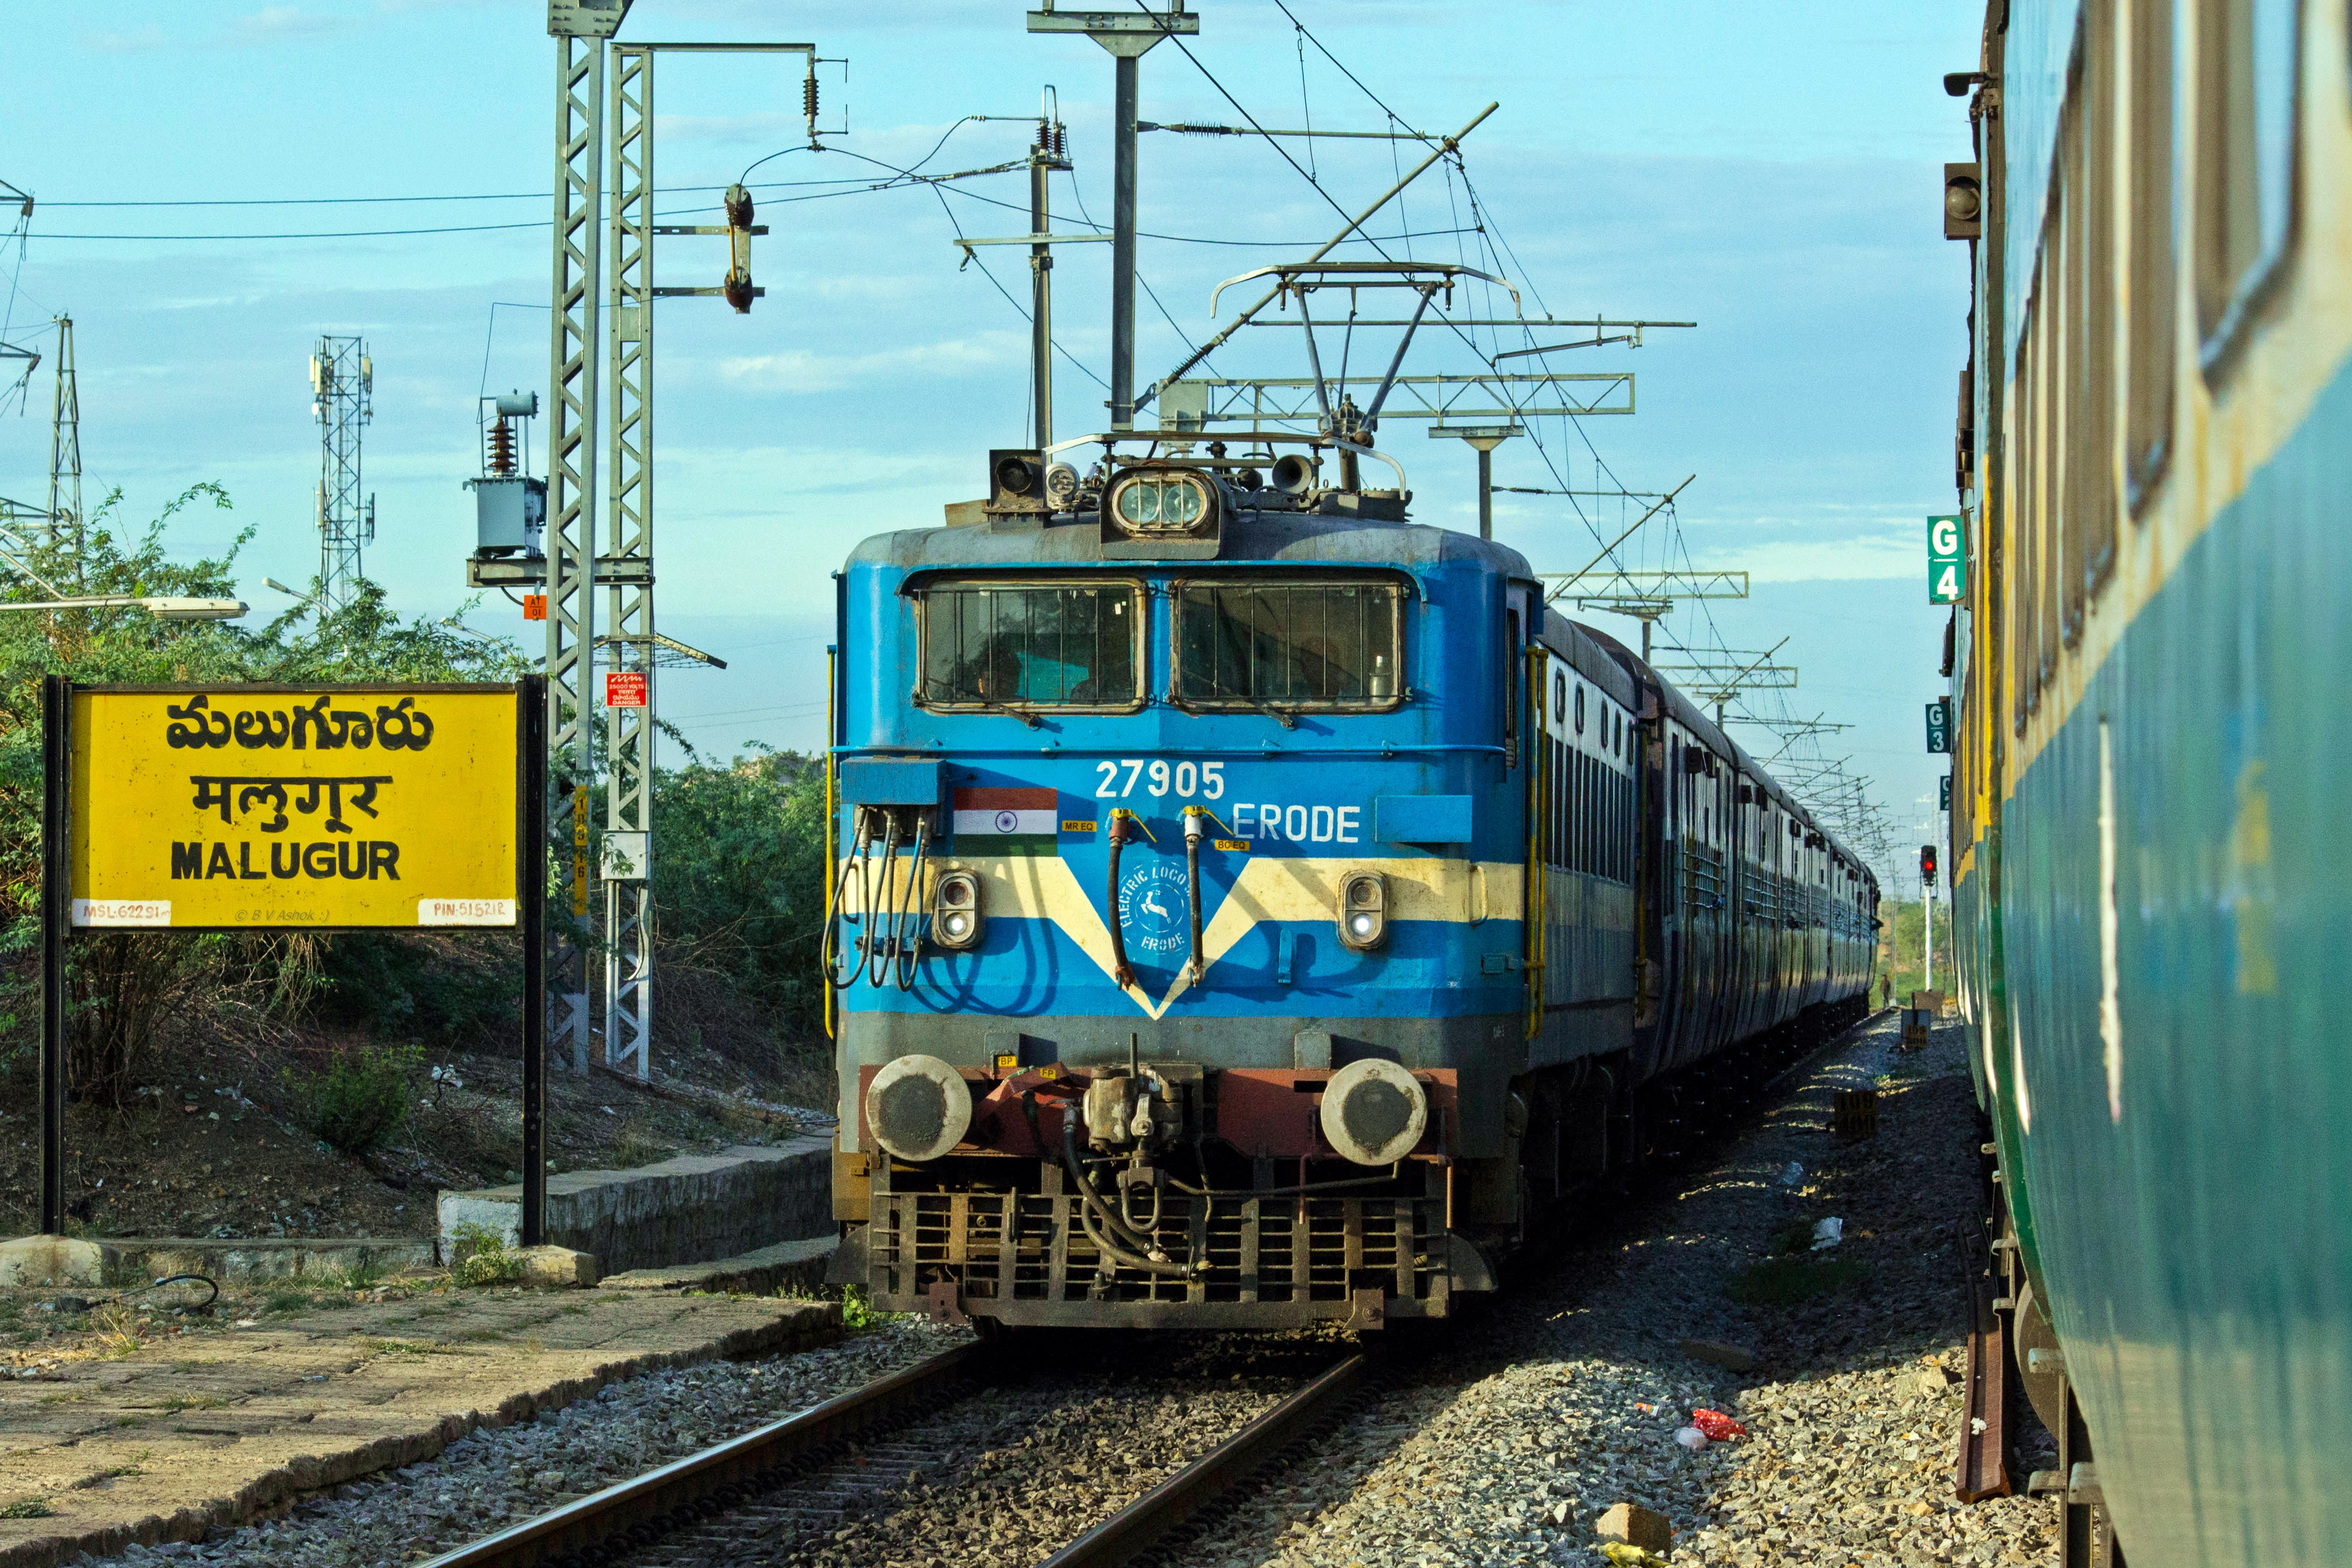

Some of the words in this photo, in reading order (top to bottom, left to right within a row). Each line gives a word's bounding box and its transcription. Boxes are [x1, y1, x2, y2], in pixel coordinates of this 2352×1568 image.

[609, 698, 642, 707] DANGER
[616, 687, 637, 696] खतरा
[611, 693, 642, 703] అపాయము
[165, 691, 436, 752] మలుగూరు
[1089, 753, 1232, 804] 27905
[189, 773, 397, 836] मलुगूर
[1230, 795, 1363, 848] ERODE
[170, 840, 404, 883] MALUGUR
[83, 902, 162, 922] MSL:62291
[432, 901, 459, 918] PIN
[458, 901, 507, 919] 515212